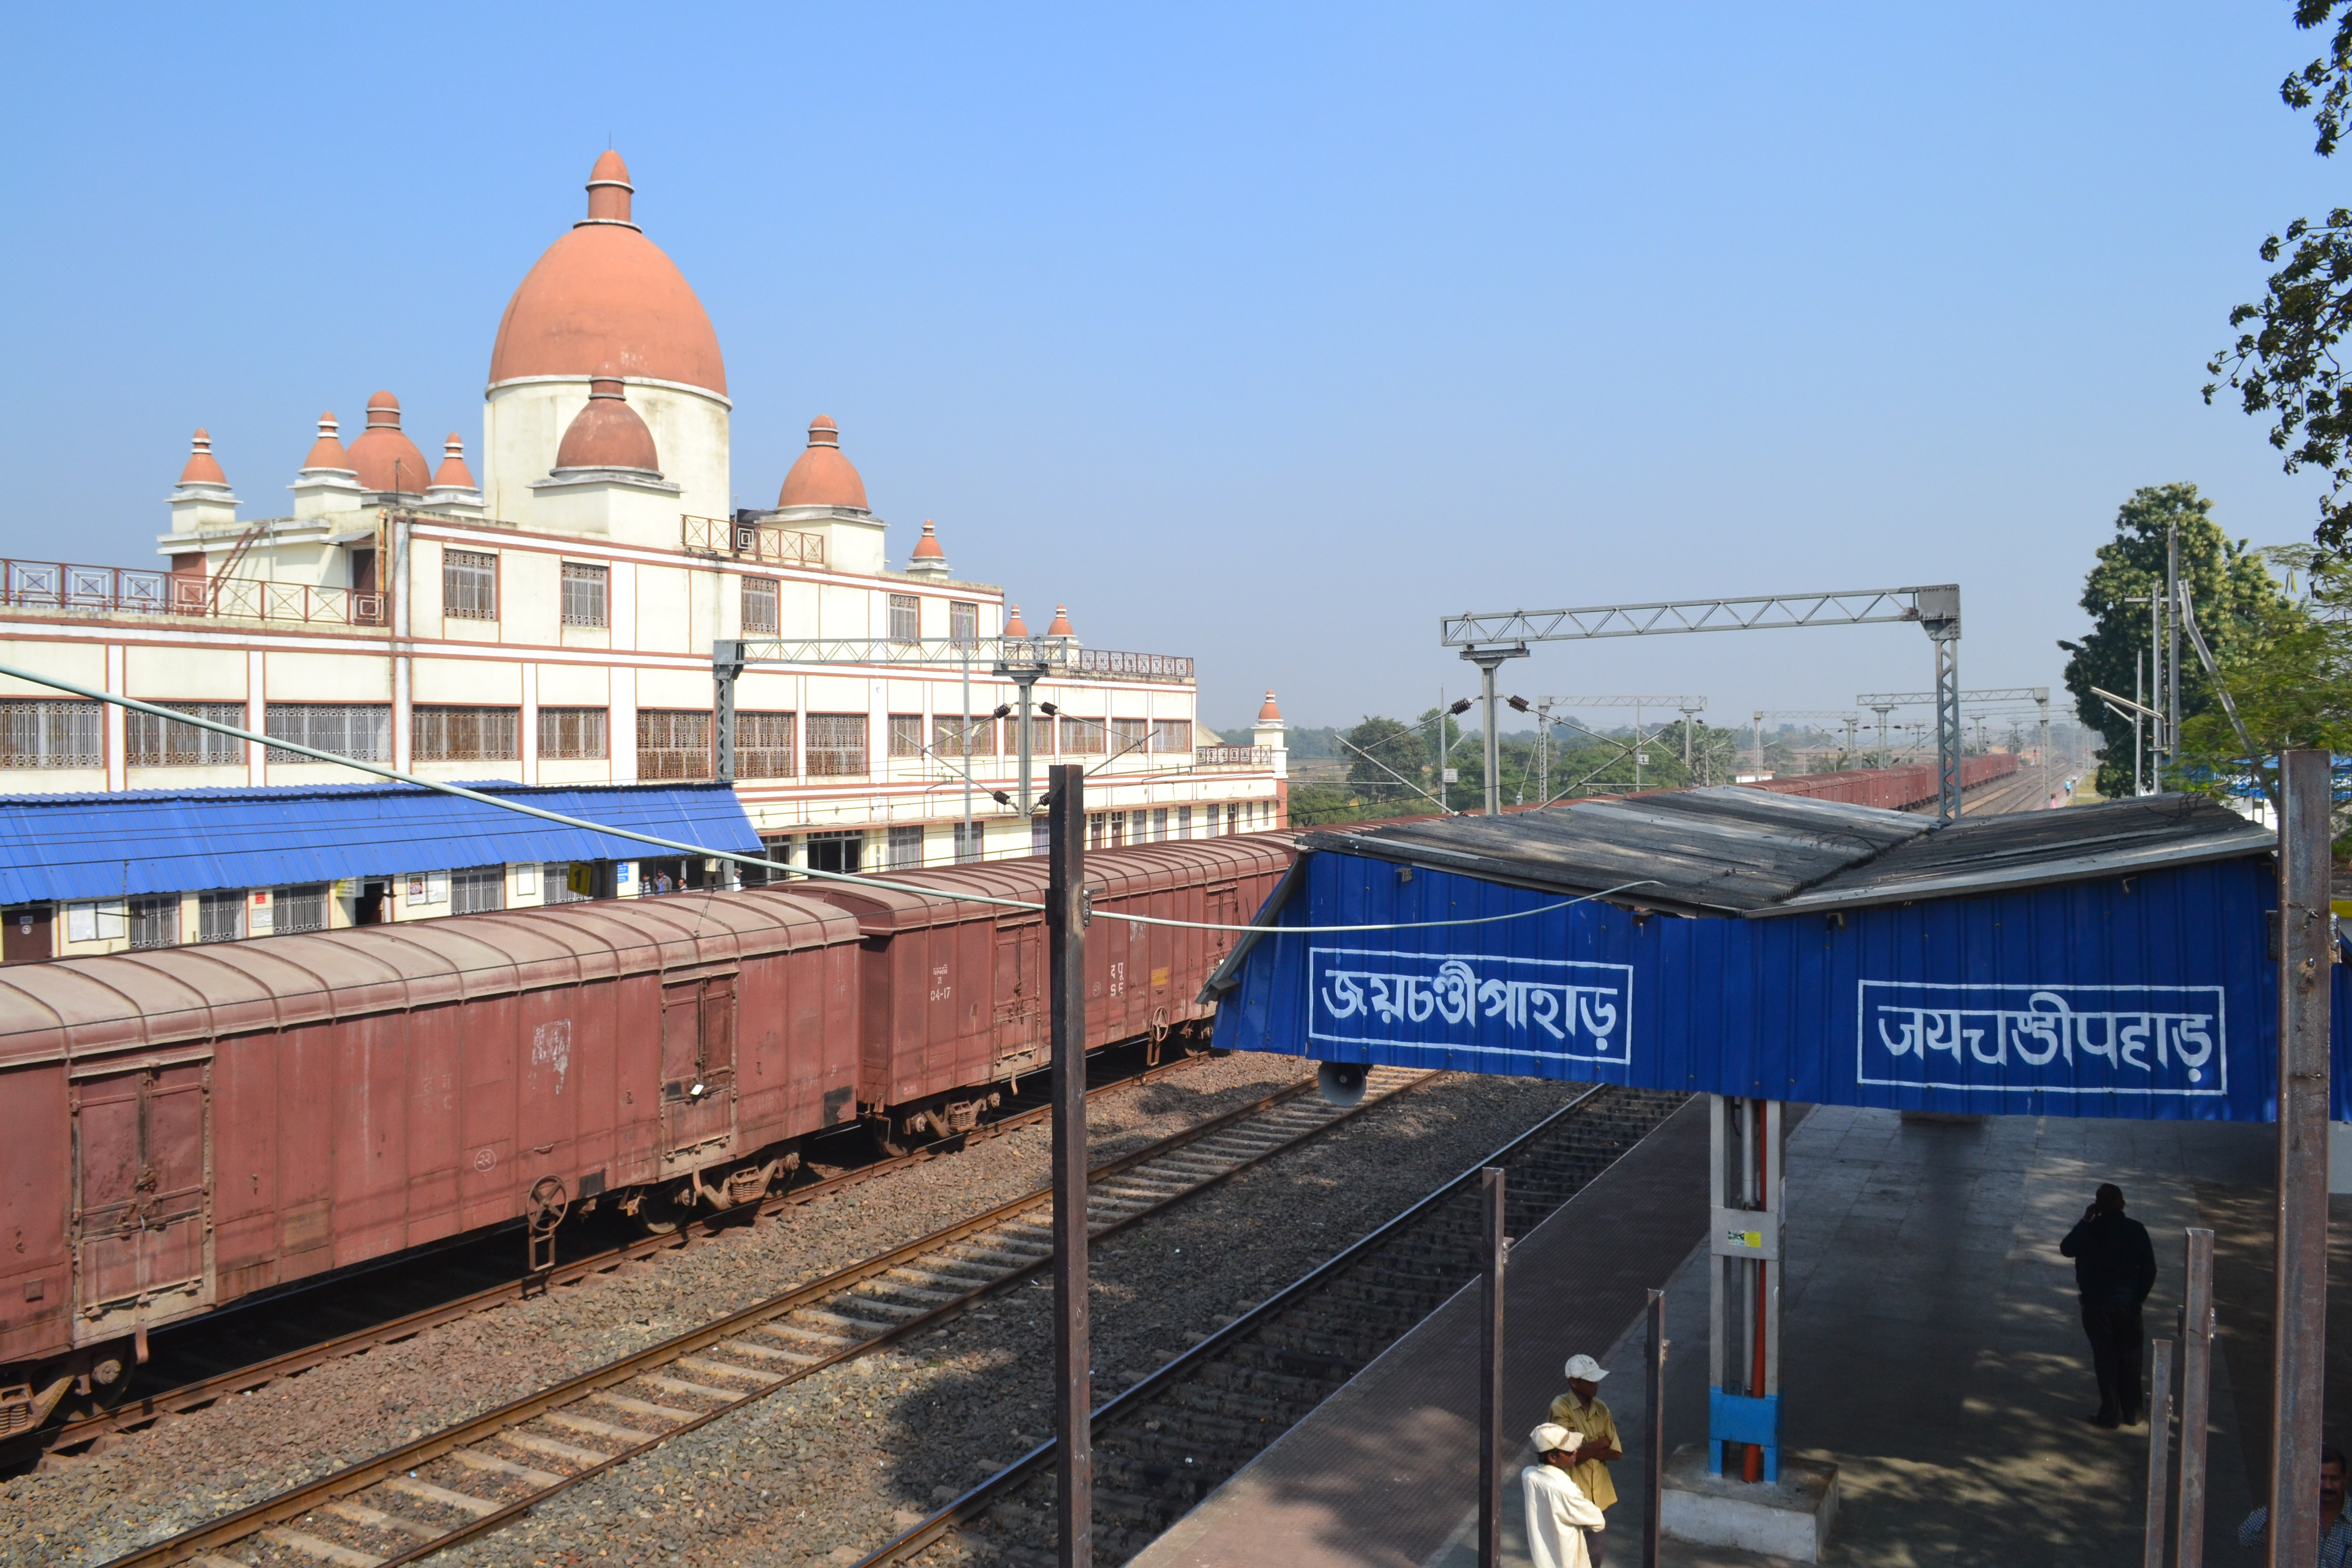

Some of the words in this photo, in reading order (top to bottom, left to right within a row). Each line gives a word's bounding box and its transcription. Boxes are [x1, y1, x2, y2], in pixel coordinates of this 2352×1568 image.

[1317, 946, 1630, 1059] জয়চণ্ডীপাহাড়
[1869, 989, 2222, 1092] जयचण्डीपहाड़